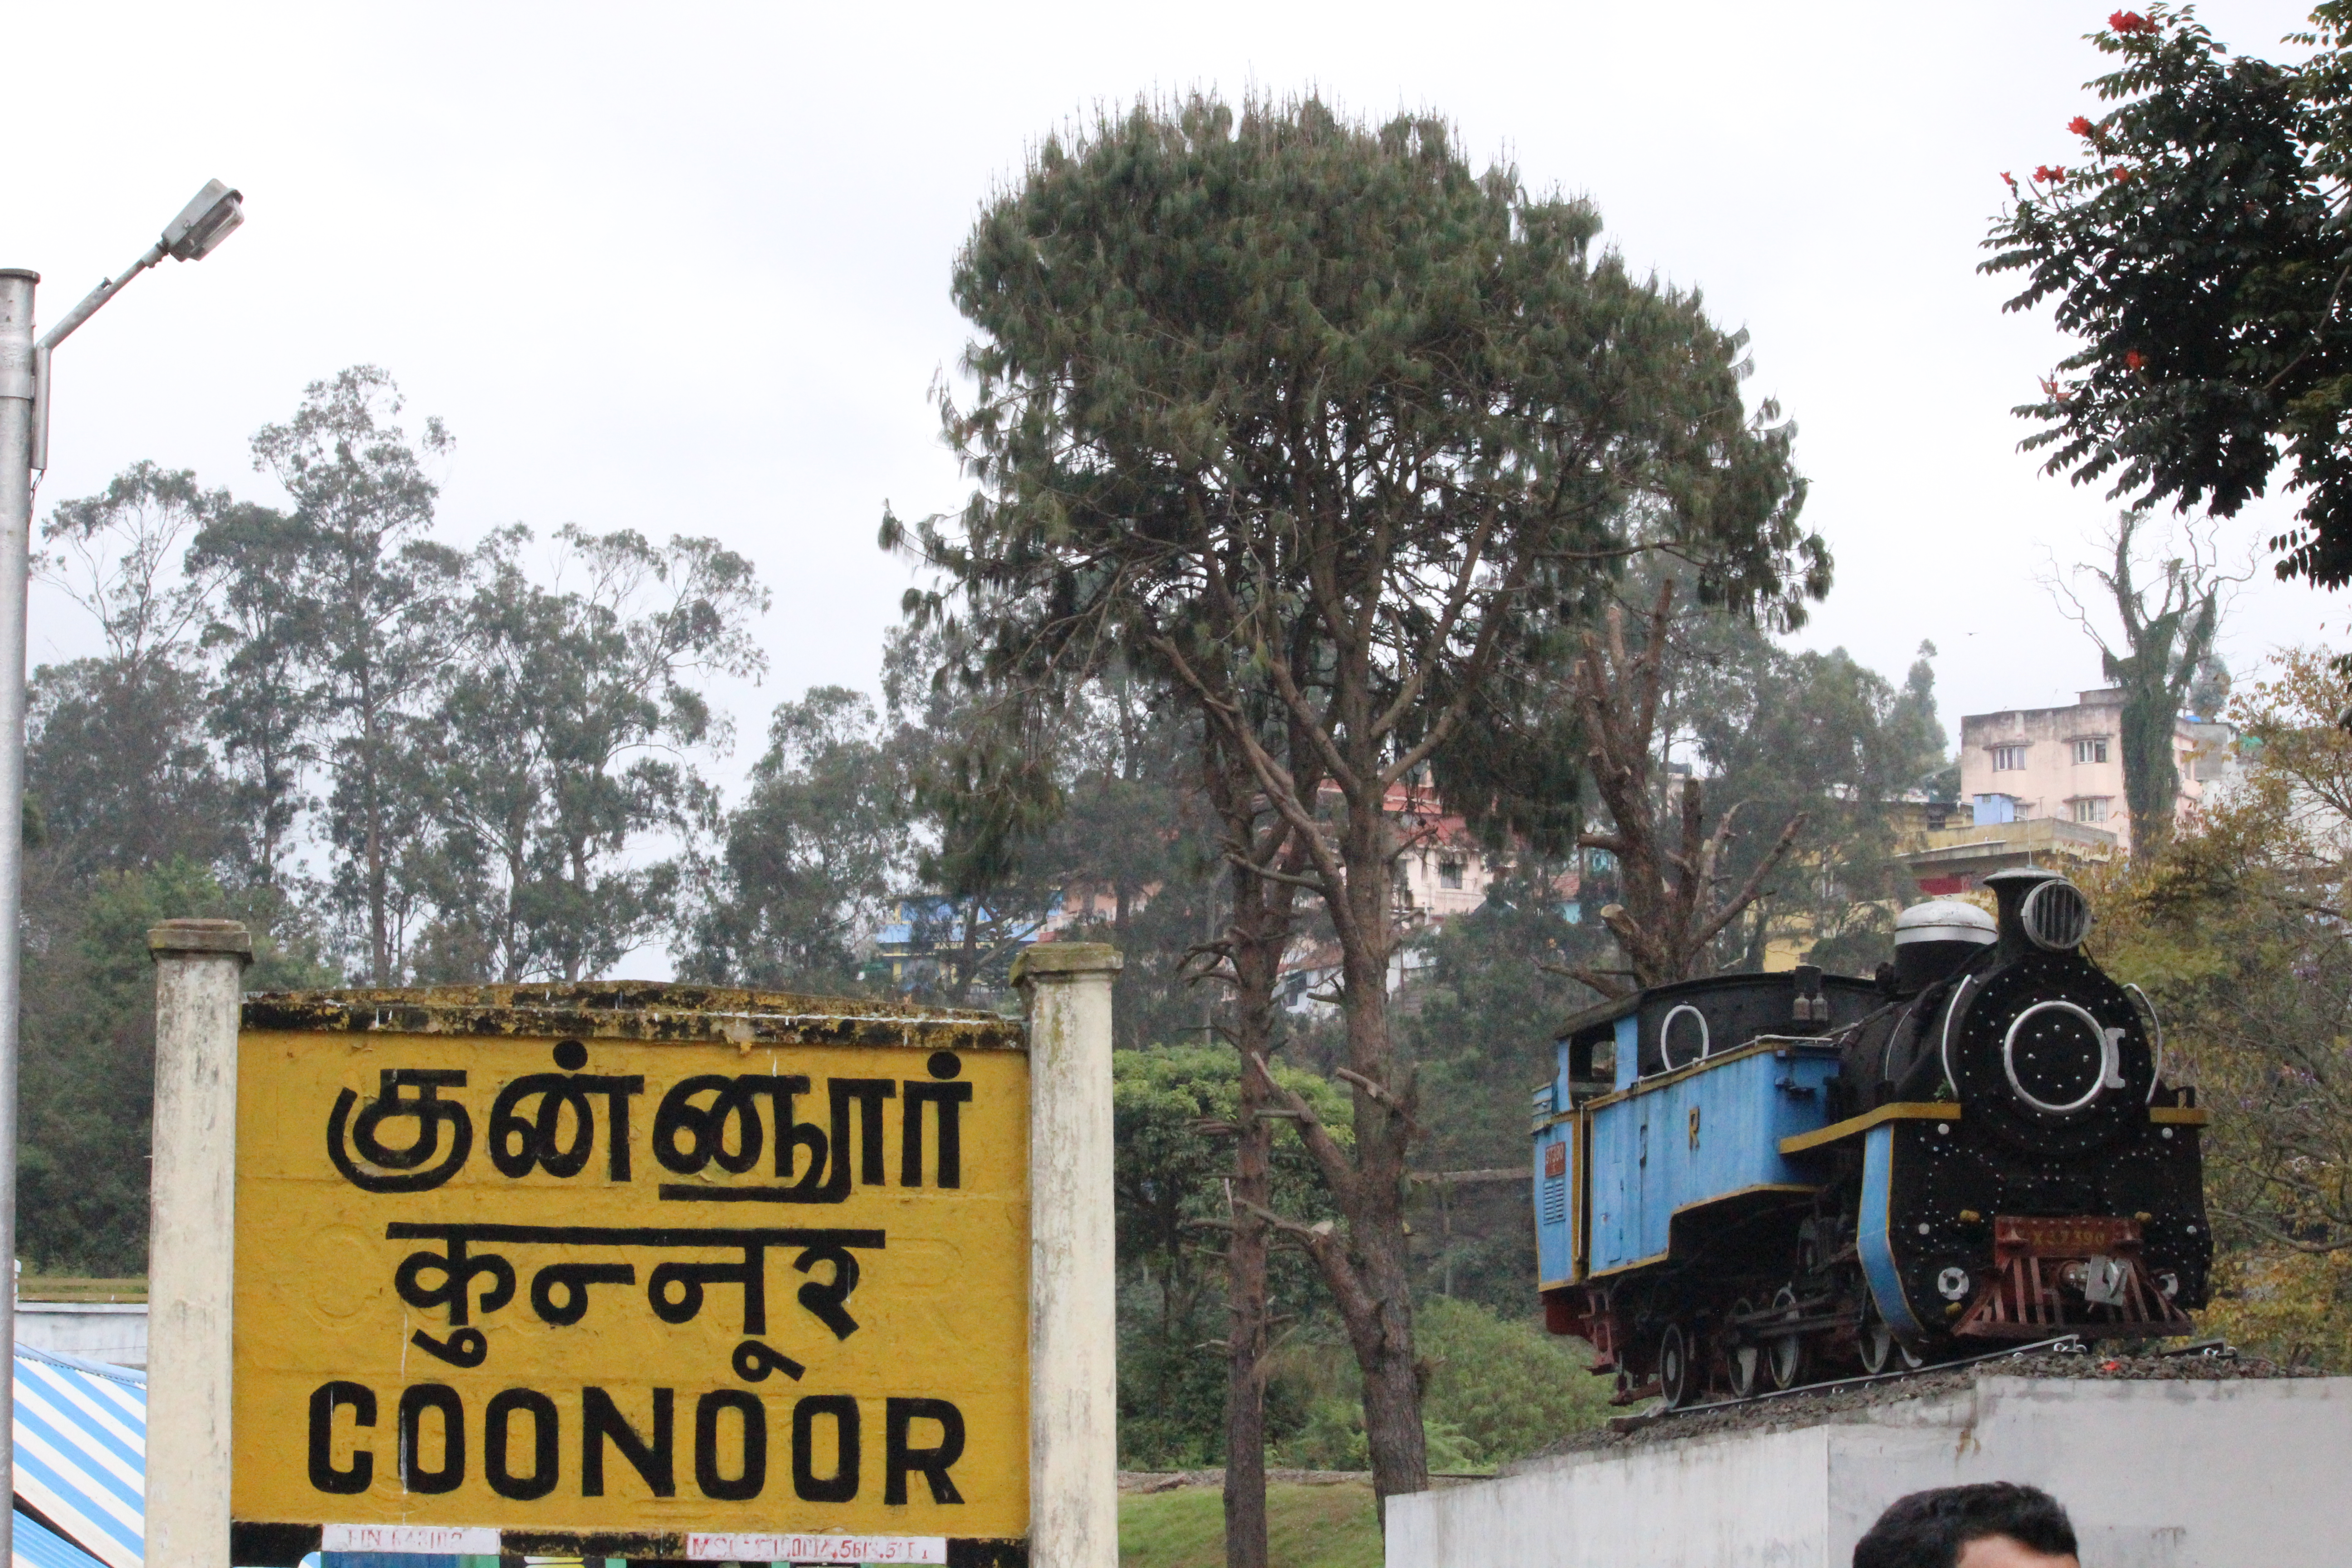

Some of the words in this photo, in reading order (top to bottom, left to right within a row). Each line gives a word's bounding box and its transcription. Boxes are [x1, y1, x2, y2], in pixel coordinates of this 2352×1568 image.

[315, 1028, 975, 1206] குன்னூா்
[382, 1219, 887, 1387] कुन्नूर
[304, 1374, 971, 1509] COONOOR